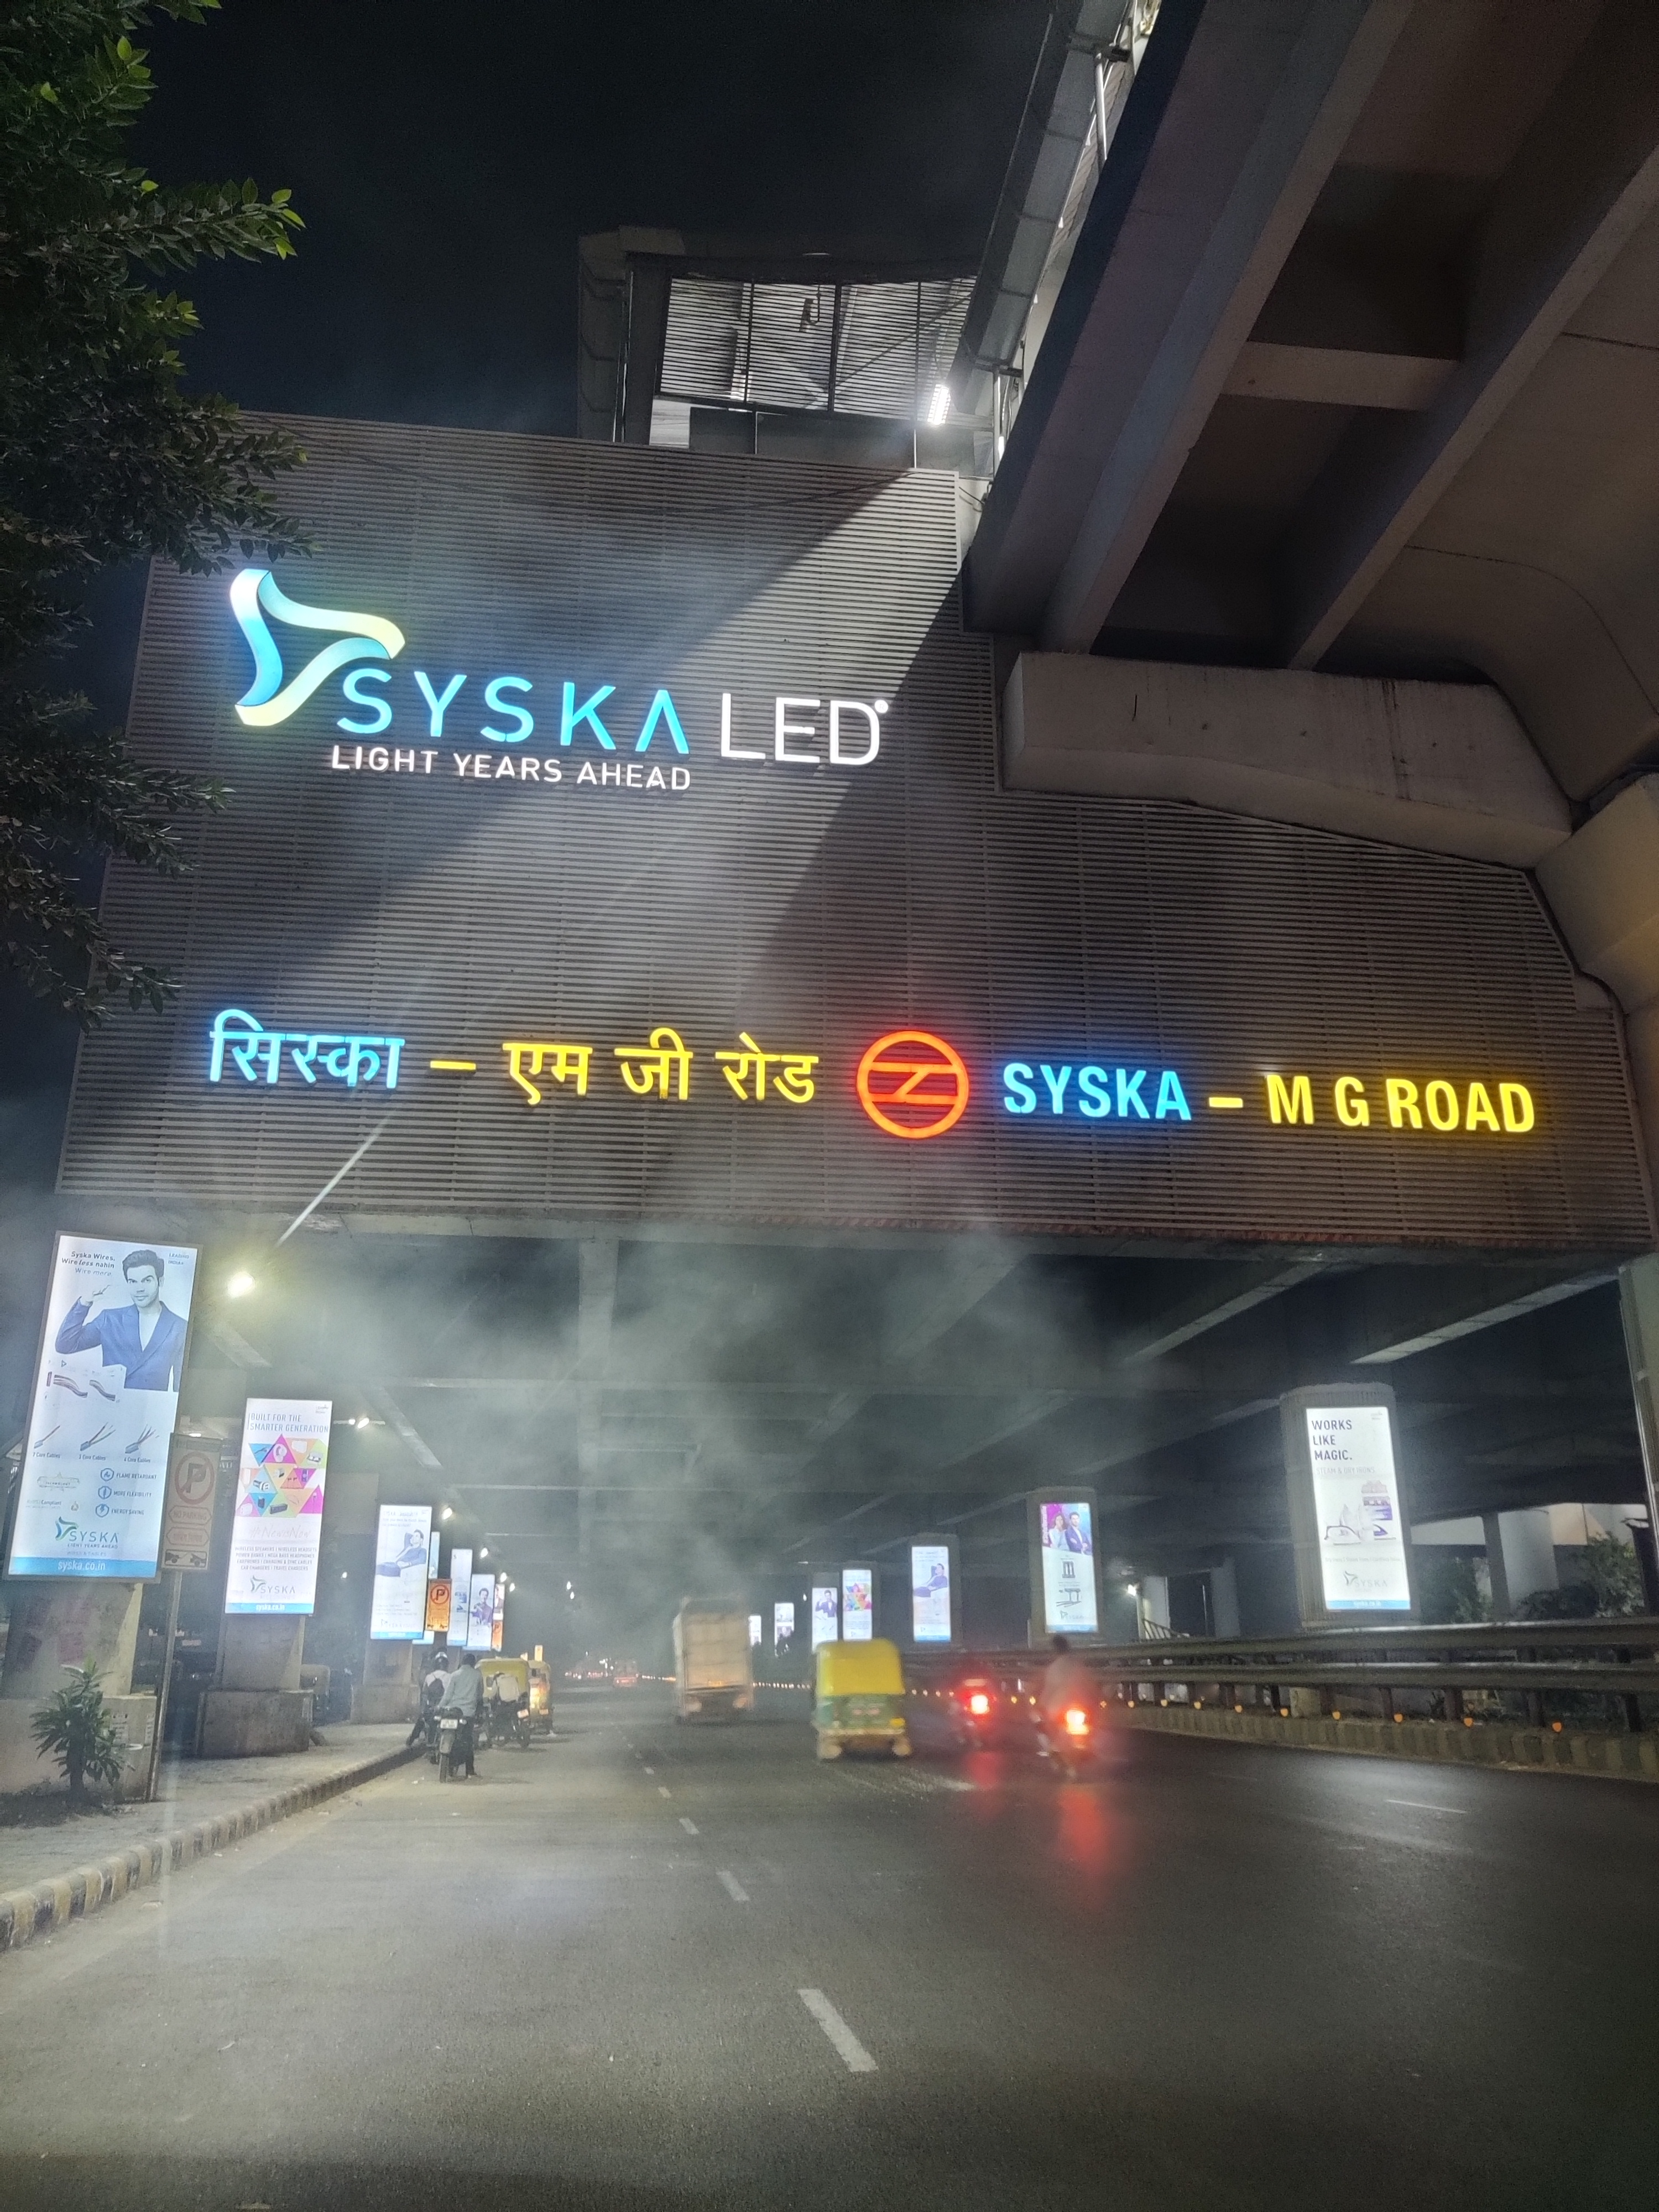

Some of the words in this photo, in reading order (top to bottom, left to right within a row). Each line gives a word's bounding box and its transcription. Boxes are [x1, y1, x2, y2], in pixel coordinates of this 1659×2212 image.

[333, 664, 692, 755] SYSKA
[712, 685, 897, 774] LED
[329, 744, 441, 776] LIGHT
[453, 752, 564, 786] YEARS
[575, 759, 693, 792] AHEAD
[201, 1005, 408, 1093] सिस्का
[499, 1041, 594, 1108] एम
[609, 1023, 697, 1104] जी
[706, 1030, 830, 1110] रोड
[992, 1055, 1192, 1126] SYSKA
[1266, 1071, 1375, 1128] MG
[1386, 1076, 1536, 1135] ROAD
[249, 1411, 273, 1423] BUILT
[247, 1421, 284, 1433] SMARTER
[269, 1412, 288, 1424] FOR
[286, 1412, 305, 1424] THE
[284, 1422, 331, 1434] GENERATION
[1311, 1433, 1338, 1448] LIKE
[1312, 1448, 1352, 1463] MAGIC.
[1311, 1417, 1355, 1432] WORKS